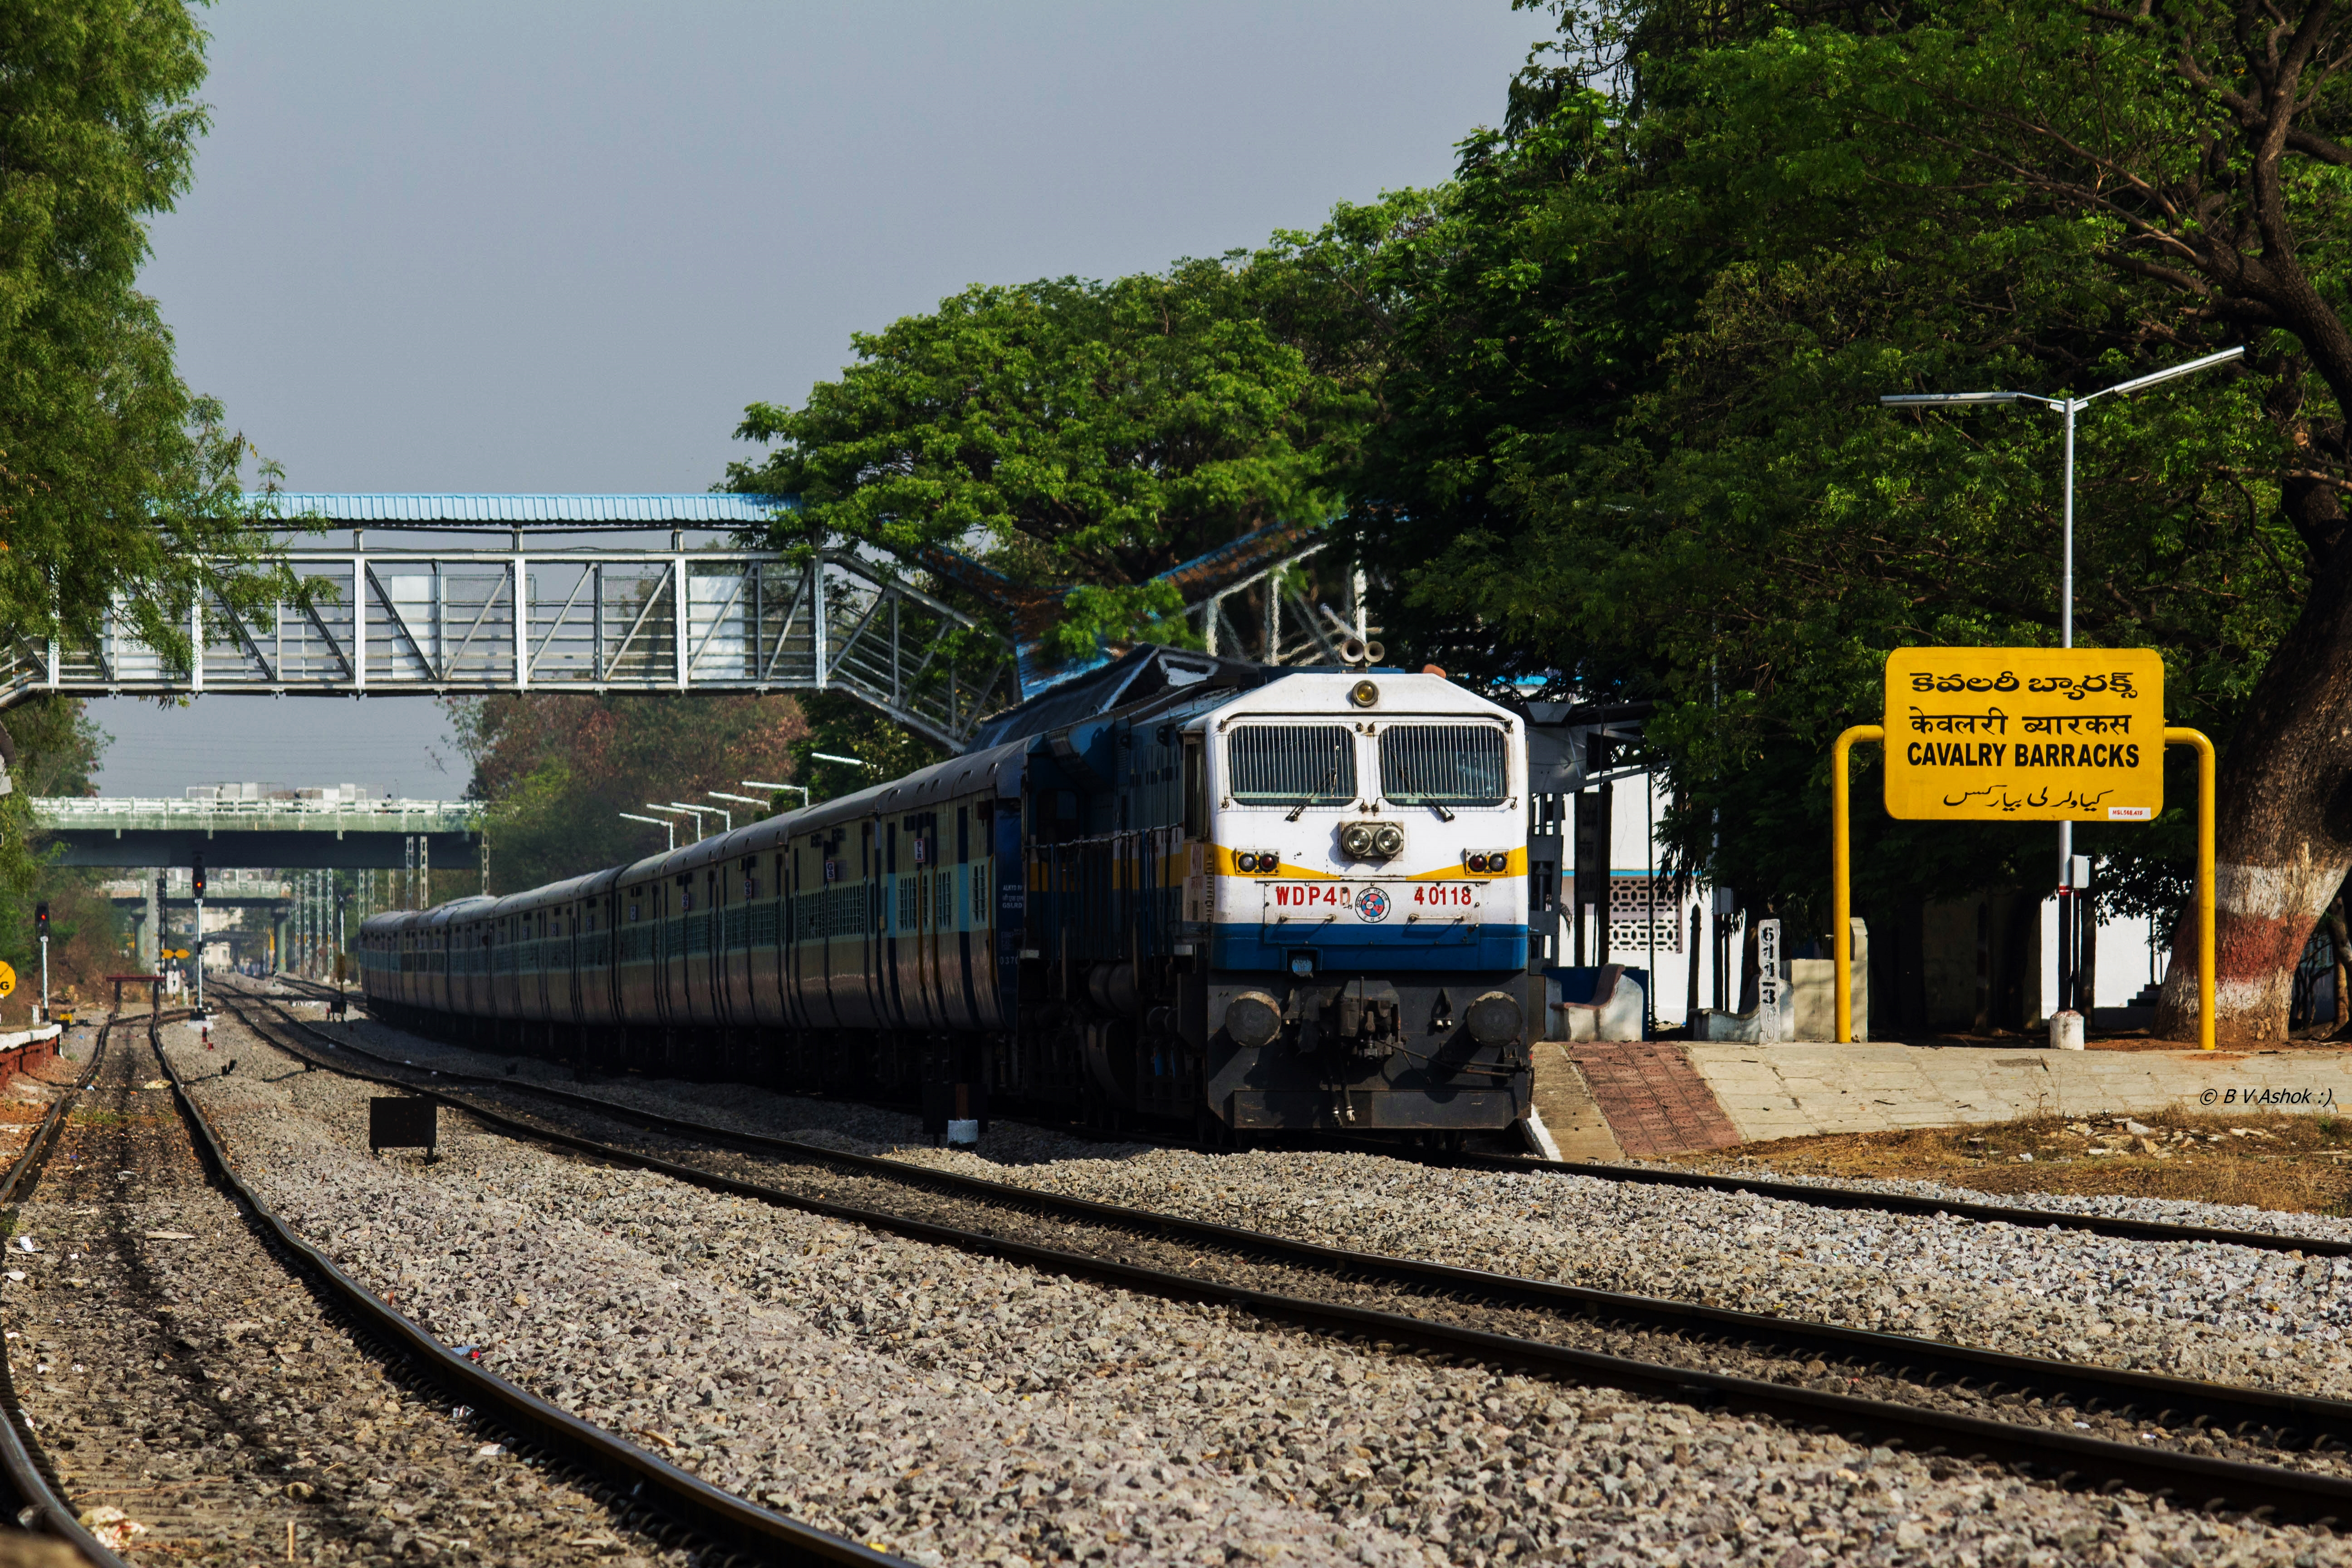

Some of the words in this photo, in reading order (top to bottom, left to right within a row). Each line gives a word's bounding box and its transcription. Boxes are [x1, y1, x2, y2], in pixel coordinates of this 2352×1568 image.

[1910, 667, 2023, 695] కెవలరీ
[2025, 670, 2141, 703] బ్యారక్స్
[1903, 697, 2011, 736] केवलरी
[2021, 712, 2134, 738] ब्यारकस
[1903, 740, 2008, 767] CAVALRY
[2014, 741, 2142, 770] BARRACKS
[1272, 883, 1353, 908] WDP4D
[1412, 884, 1475, 909] 40118
[2218, 1082, 2315, 1105] BVAshok